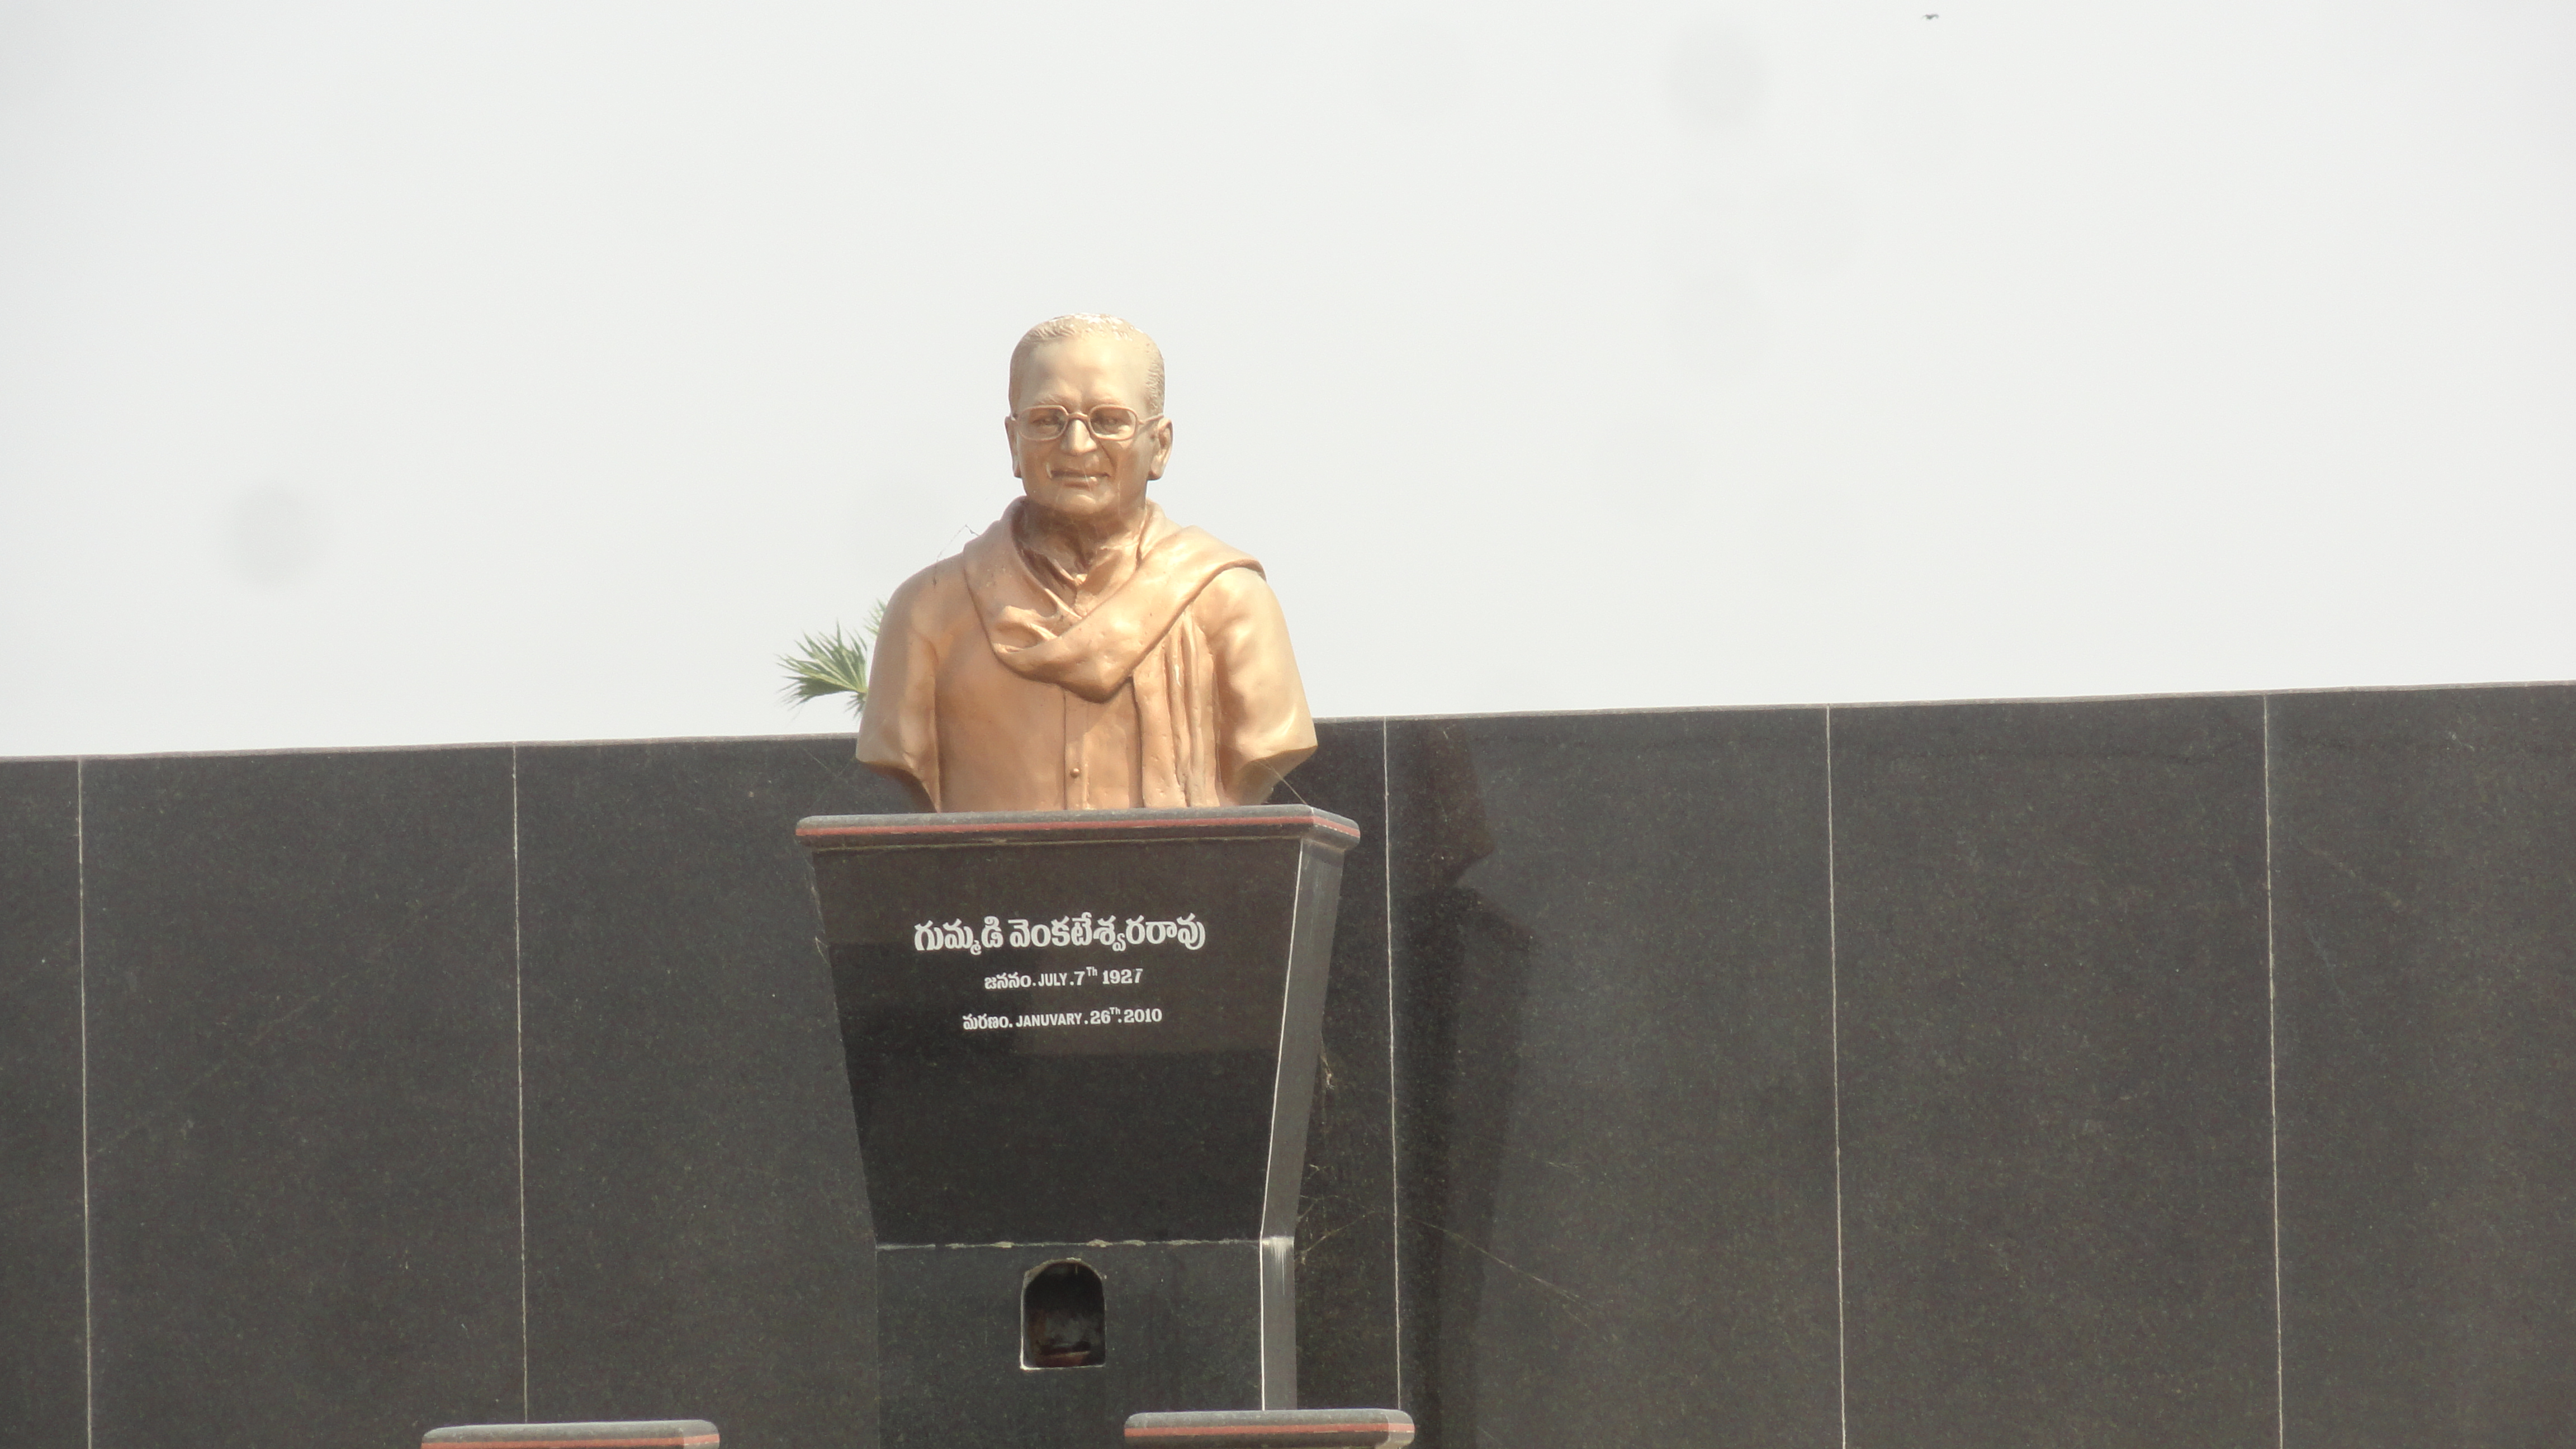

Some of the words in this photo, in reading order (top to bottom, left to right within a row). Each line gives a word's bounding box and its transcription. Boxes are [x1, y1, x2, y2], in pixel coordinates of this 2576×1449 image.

[911, 911, 1008, 963] గుమ్మడి
[1005, 907, 1209, 958] వెంకటేశ్వరరావు
[979, 965, 1041, 995] జననం
[1034, 960, 1102, 991] JULY.7Th
[1097, 962, 1147, 992] 1927
[958, 1008, 1020, 1033] మరణం.
[1012, 1009, 1085, 1029] JANUVARY
[1085, 1001, 1164, 1033] 26Th.2010